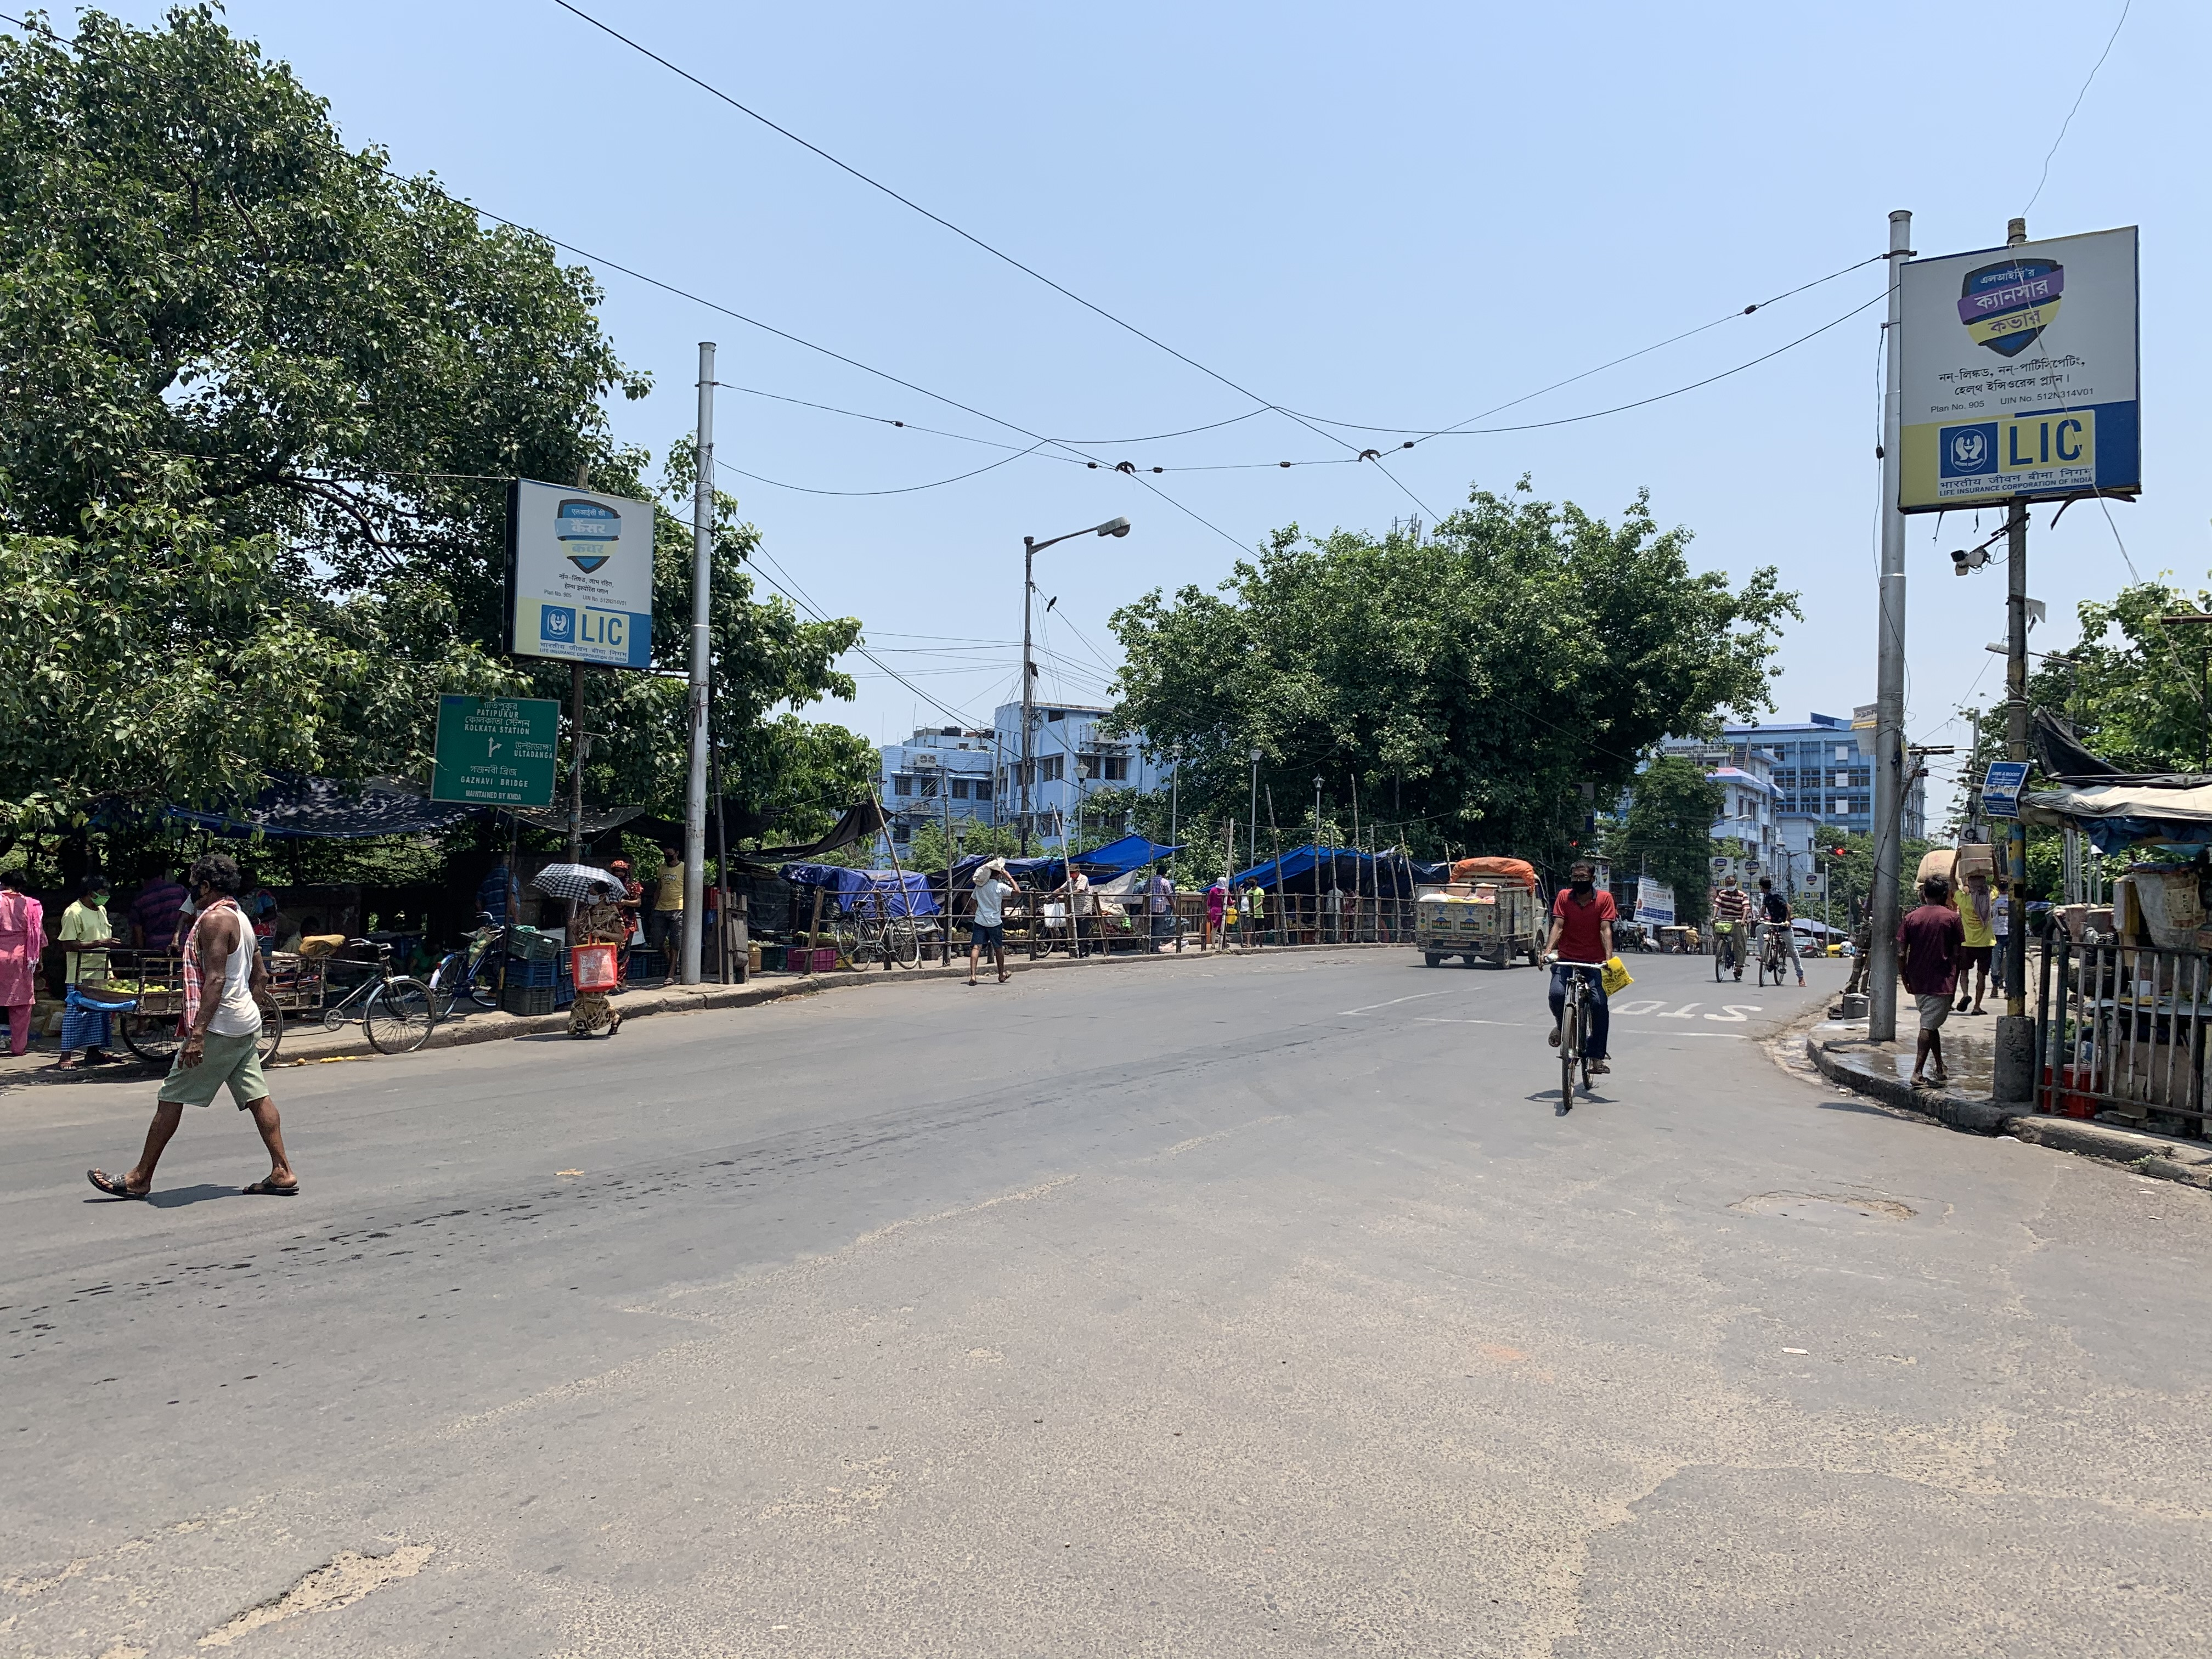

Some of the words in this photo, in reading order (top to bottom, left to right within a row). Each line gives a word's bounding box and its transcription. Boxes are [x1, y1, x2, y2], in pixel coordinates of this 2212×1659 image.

[1976, 266, 2036, 288] এলআইসি'র
[1972, 276, 2051, 311] ক্যানসার
[1983, 307, 2044, 338] কভার
[2018, 347, 2087, 376] পার্টিসিপেটিং,
[1929, 400, 1967, 415] PlanNo.
[1933, 363, 1994, 386] নন্-লিঙ্কড,
[1950, 382, 1985, 398] হেল্থ
[1960, 395, 1989, 411] 905
[1995, 363, 2018, 380] নন্
[1981, 374, 2038, 394] ইন্সিওরেন্স
[1997, 392, 2038, 407] UINNo.
[2038, 370, 2068, 387] প্ল্যান
[2032, 385, 2097, 402] 512N314V01
[2004, 410, 2092, 472] LIC
[1936, 488, 1957, 499] LIFE
[1937, 472, 1985, 491] भारतीय
[1955, 483, 2002, 498] INSURANCE
[1985, 470, 2022, 484] जीवन
[2000, 478, 2058, 492] CORPORATION
[2024, 462, 2055, 483] बीमा
[2055, 477, 2072, 487] OF
[2057, 462, 2094, 478] निगम
[2068, 474, 2095, 488] INDIA
[568, 504, 600, 518] एलआईसी
[594, 506, 608, 518] की
[565, 516, 608, 537] कैंसर
[566, 540, 607, 558] कवर
[543, 587, 575, 600] PlanNo.905
[560, 579, 578, 591] हेल्‍थ
[556, 571, 588, 584] नॉन-लिंक्ड,
[571, 580, 598, 594] इश्योरेंस
[580, 592, 601, 605] UINNo
[586, 575, 602, 586] लाभ
[594, 585, 611, 596] प्लान
[597, 575, 617, 591] रहि‍त,
[597, 595, 628, 610] 512N314V01
[579, 611, 626, 648] LIC
[537, 647, 552, 657] LIFE
[537, 640, 568, 650] भारतीय
[549, 647, 578, 657] INSURANCE
[566, 641, 590, 653] जीवन
[574, 650, 610, 664] CORPORATION
[588, 642, 608, 656] बीमा
[601, 653, 617, 662] NOF
[605, 645, 629, 660] निगम
[610, 656, 628, 663] INDIA
[478, 694, 521, 713] তিপুকুর
[459, 722, 498, 736] KOLKATA
[464, 712, 506, 727] কোলকাত৷
[473, 707, 520, 723] PATIPUKUR
[497, 724, 532, 738] STATION
[502, 713, 534, 732] স্টেশন
[509, 737, 555, 757] উল্টাডাঙ্গা
[512, 747, 557, 764] ULTADANGA
[468, 759, 501, 777] গজনবী
[496, 761, 523, 779] ব্রিজ
[454, 771, 497, 787] GAZNAVI
[496, 776, 533, 790] BRIDGE
[461, 787, 501, 800] MAINTAINED
[495, 790, 508, 802] BY
[503, 792, 525, 803] KMDA